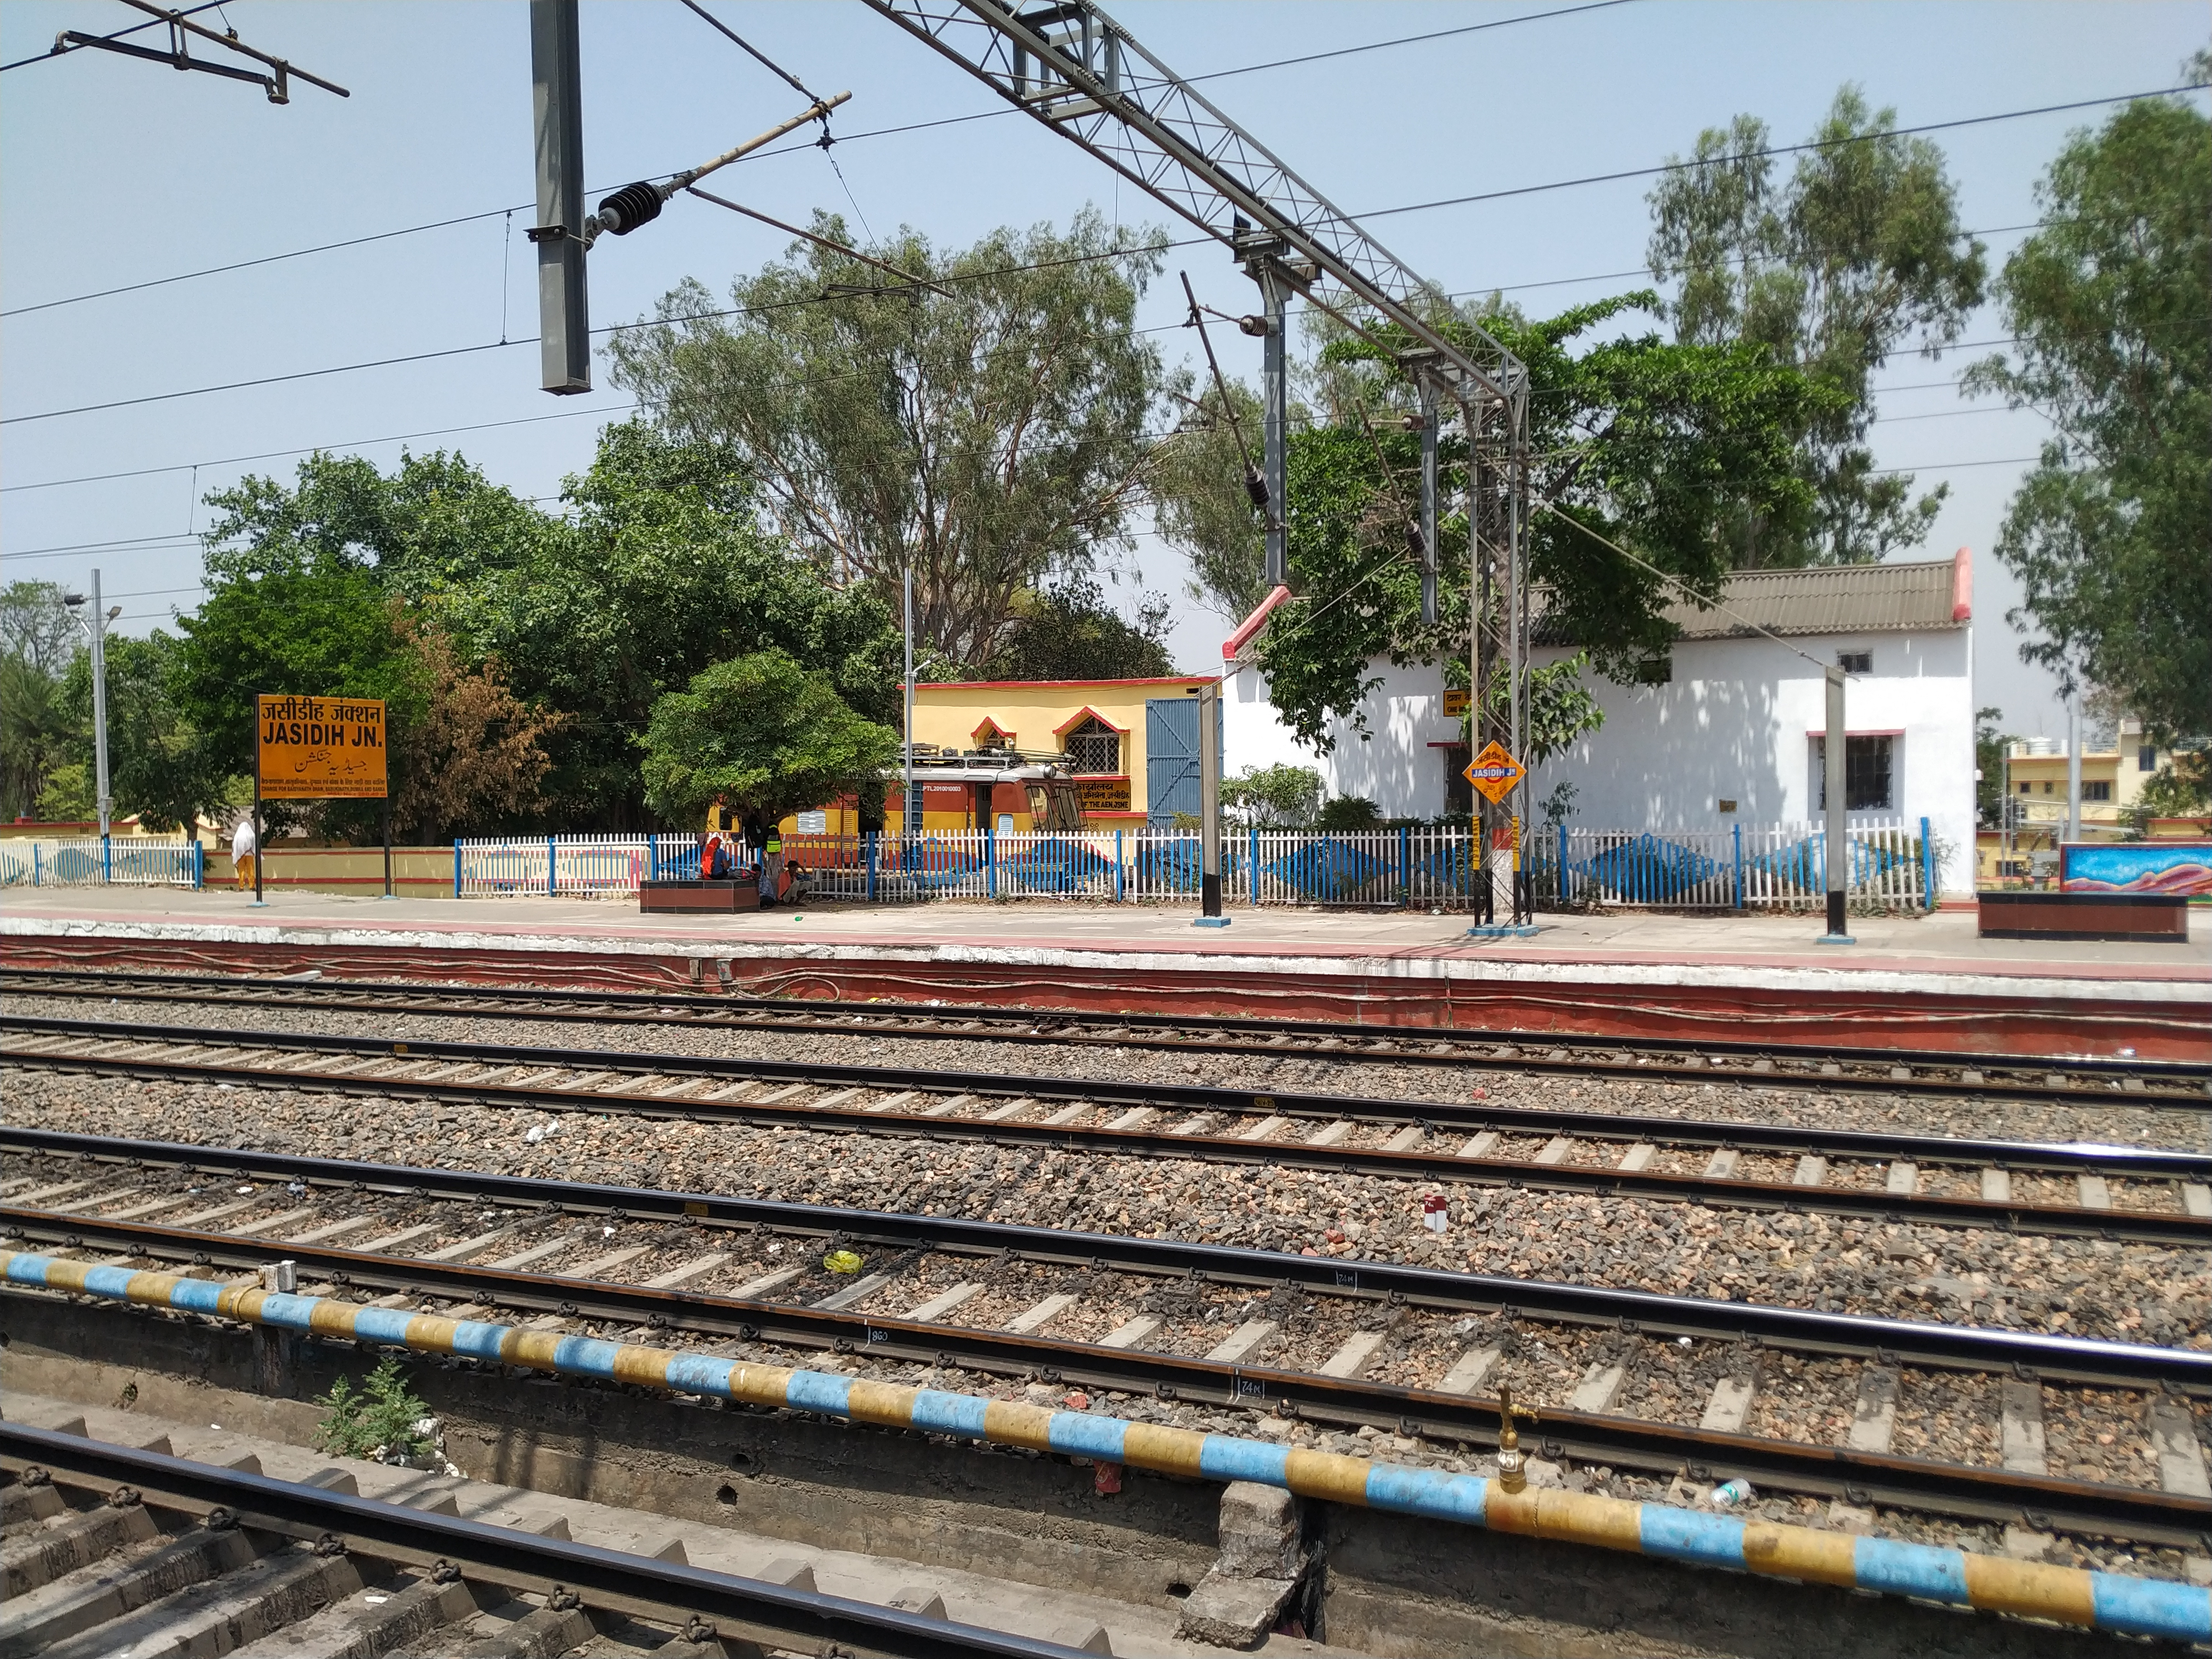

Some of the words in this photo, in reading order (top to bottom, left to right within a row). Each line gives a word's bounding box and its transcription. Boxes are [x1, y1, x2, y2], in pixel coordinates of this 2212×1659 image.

[260, 694, 325, 723] जसीडीह
[328, 696, 381, 724] जंक्शन
[262, 721, 345, 747] JASIDIH
[349, 724, 383, 748] JN.